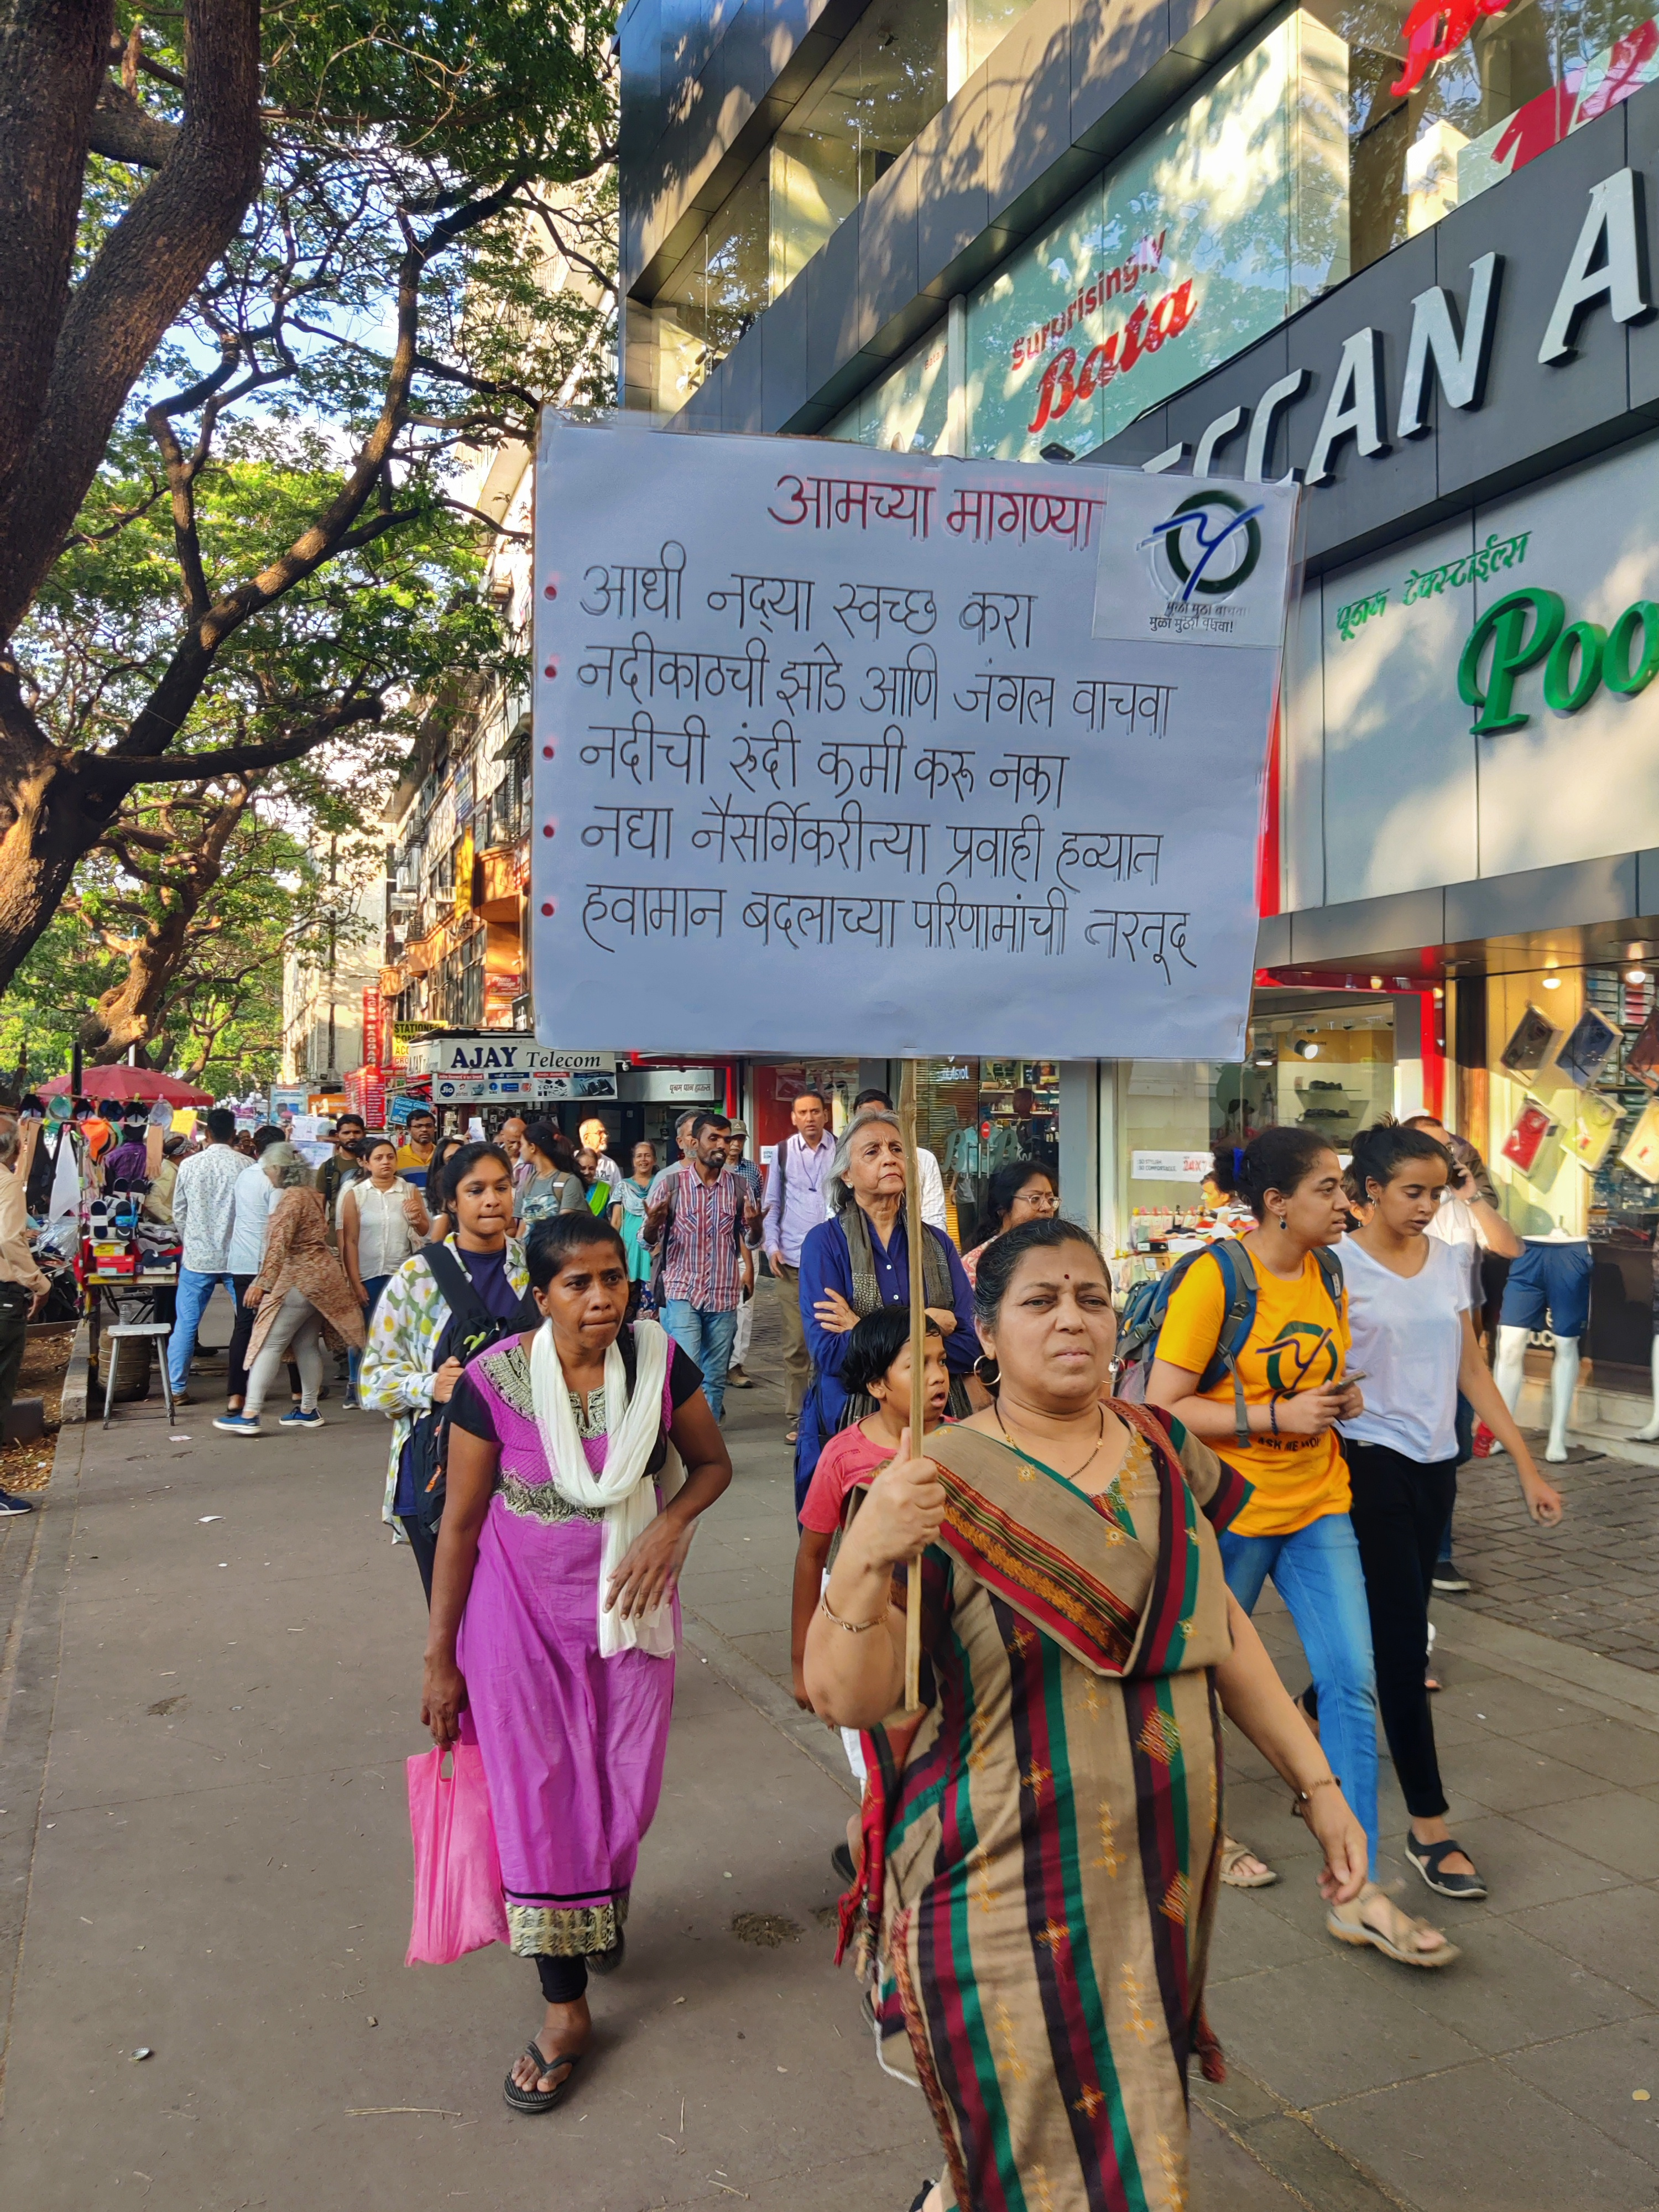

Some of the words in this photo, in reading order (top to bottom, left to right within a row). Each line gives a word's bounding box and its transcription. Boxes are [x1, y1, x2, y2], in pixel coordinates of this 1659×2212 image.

[1004, 215, 1173, 380] Surprisingly
[1522, 154, 1658, 389] A
[1015, 273, 1207, 441] Bata
[1232, 237, 1523, 500] CAN
[758, 459, 946, 549] आमच्या
[936, 478, 1116, 560] मागण्या
[569, 535, 693, 626] आधी
[566, 702, 717, 799] नदीची
[572, 623, 778, 713] नदीकाठची
[695, 561, 822, 641] नद्या
[720, 714, 809, 796] रुंदी
[769, 635, 853, 724] झाडे
[811, 719, 912, 801] कमी
[826, 577, 944, 647] स्वच्छ
[853, 639, 946, 731] अणि
[907, 739, 984, 809] करू
[953, 582, 1039, 655] करा
[947, 655, 1062, 736] जंगल
[984, 744, 1075, 816] नका
[1064, 663, 1182, 754] वाचवा
[1331, 584, 1395, 647] पूनम
[1396, 527, 1537, 612] टेक्स्टाईल्स
[1441, 555, 1659, 749] Poo
[570, 796, 682, 865] नद्या
[686, 787, 938, 881] नैसर्गिकरीत्या
[940, 812, 1050, 885] प्रवाही
[1048, 824, 1171, 900] हव्यात
[571, 875, 735, 971] हवामान
[733, 883, 910, 963] बदलाच्या
[907, 879, 1077, 972] परिणामांची
[1073, 901, 1211, 997] तरतूद
[448, 1042, 522, 1072] AJAY
[521, 1050, 606, 1072] Telecom